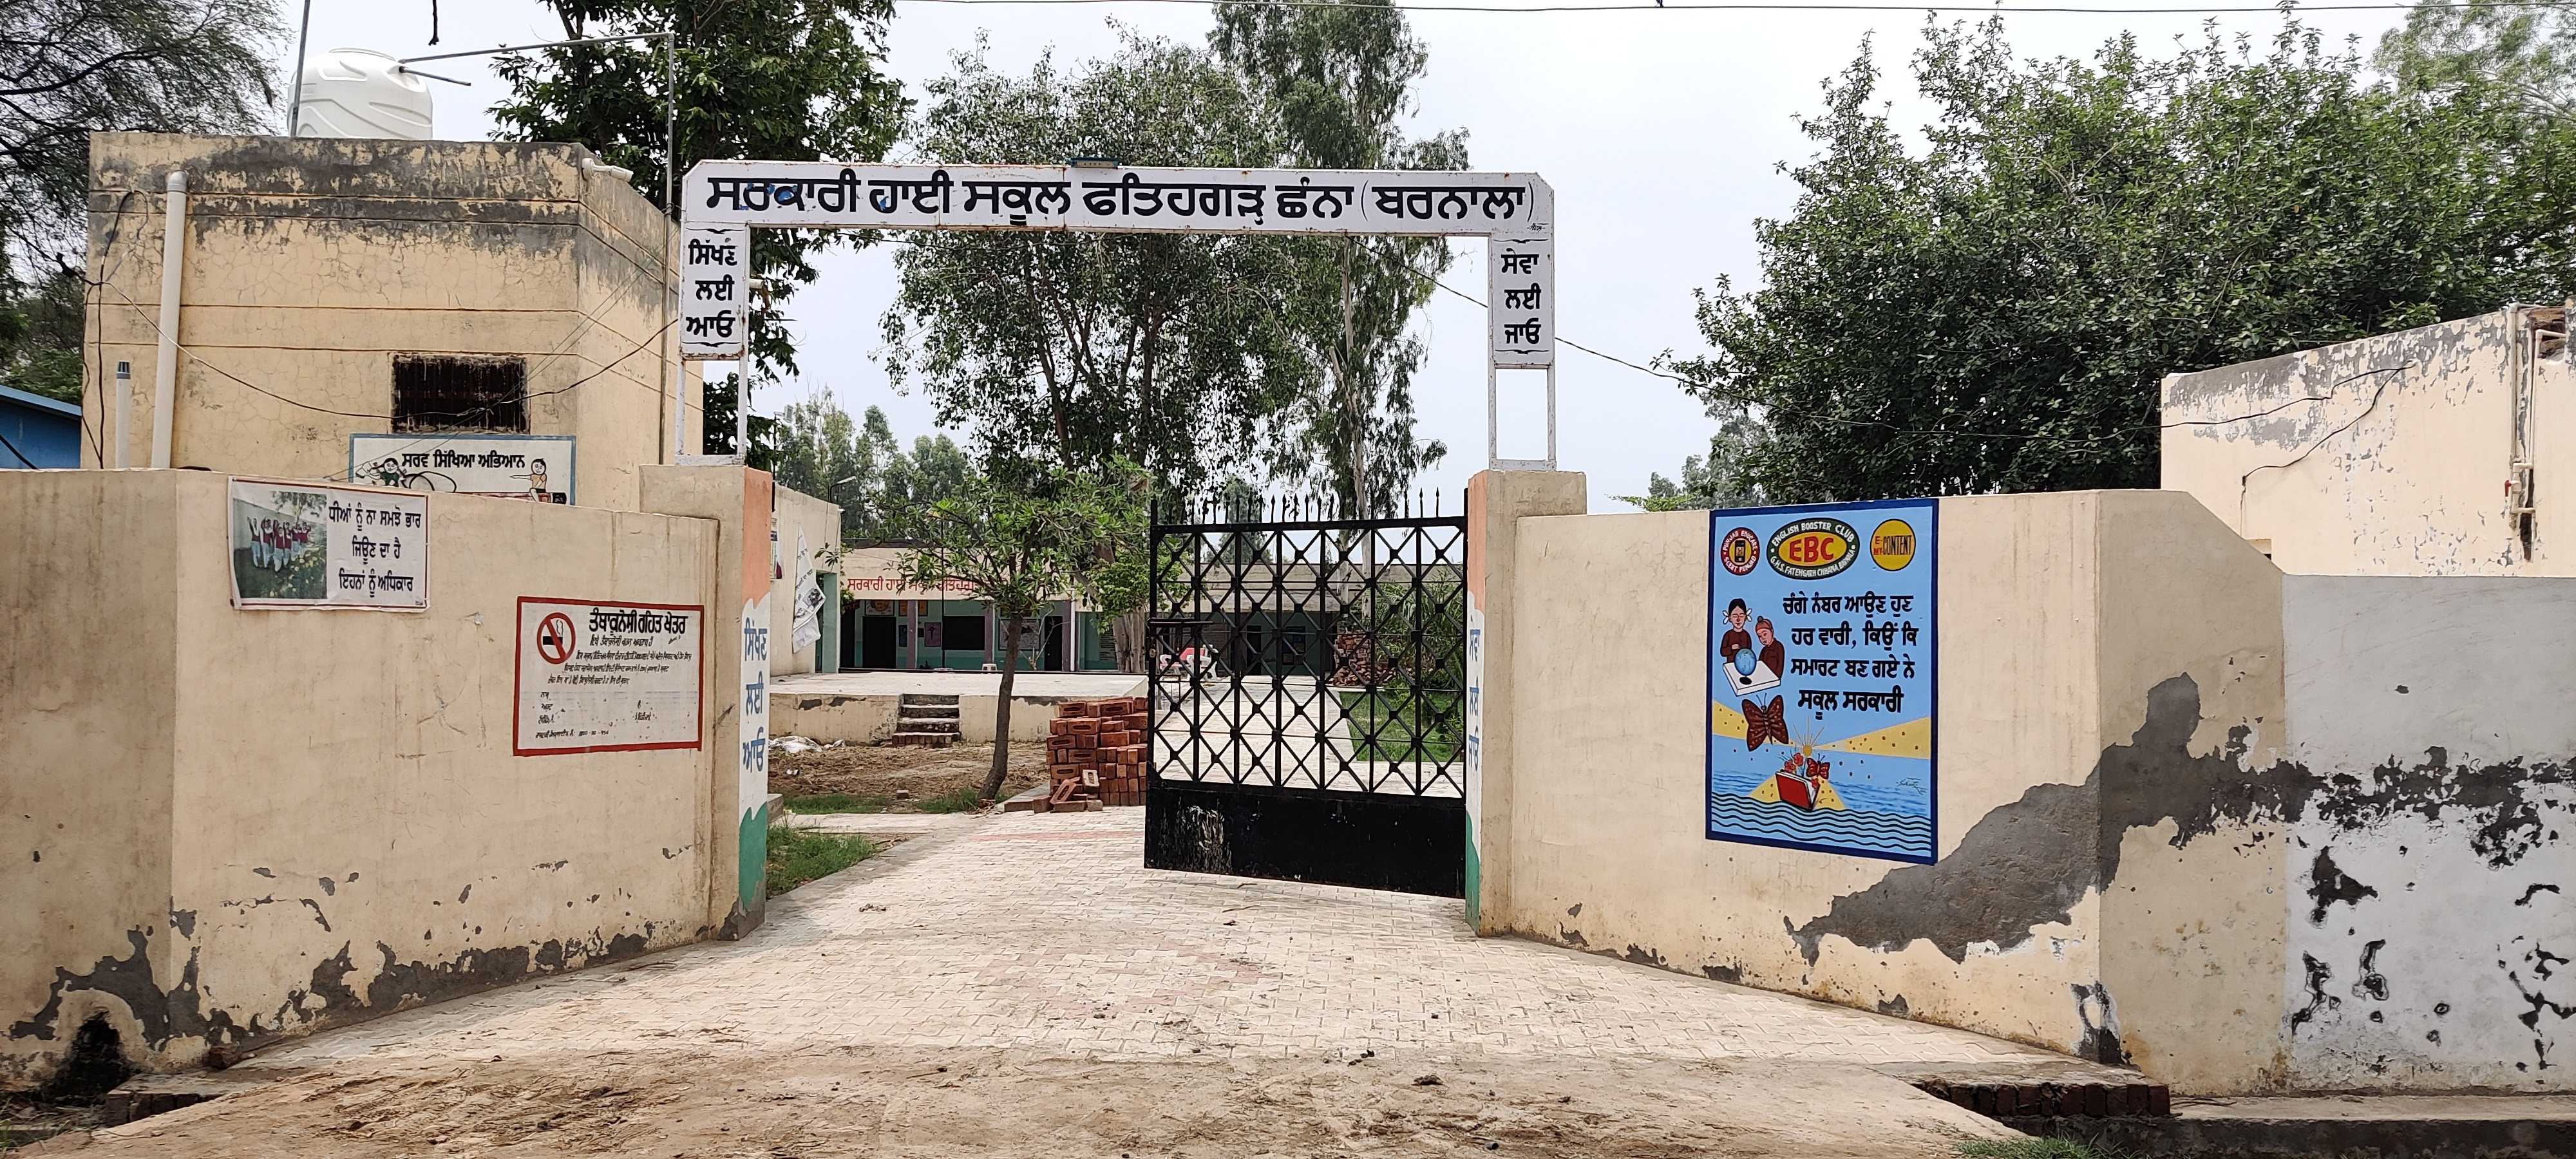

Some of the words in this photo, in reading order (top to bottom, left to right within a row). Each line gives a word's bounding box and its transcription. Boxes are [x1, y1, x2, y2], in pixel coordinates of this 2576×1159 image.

[701, 164, 866, 223] ਸਰਕਾਰੀ
[860, 167, 961, 218] ਹਾਈ
[959, 173, 1081, 228] ਸਕੂਲ
[1075, 167, 1271, 228] ਫਤਿਹਗੜ੍ਹ
[1269, 171, 1361, 225] ਛੰਨਾ
[1365, 182, 1528, 226] ਬਰਨਾਲਾ
[681, 232, 743, 271] ਸਿੱਖਣ
[1493, 239, 1544, 281] ਸੇਵਾ
[690, 271, 743, 308] ਲਈ
[1497, 279, 1546, 314] ਲਈ
[676, 305, 743, 343] ਆਓ
[1497, 314, 1546, 353] ਜਾਓ
[398, 448, 432, 472] ਸਰਵ
[430, 444, 478, 472] ਸਿੱਖਿਆ
[475, 447, 529, 471] ਅਭਿਆਨ
[327, 496, 354, 529] ਧੀਆ
[352, 500, 365, 532] ਨੂੰ
[364, 505, 378, 527] ਨਾ
[377, 502, 404, 531] ਸਮਝੋ
[401, 509, 424, 530] ਭਾਰ
[350, 533, 378, 567] ਜਿਊਣ
[378, 535, 392, 560] ਦਾ
[390, 534, 404, 561] ਹੈ
[1780, 532, 1842, 568] EBC
[1882, 533, 1913, 557] CONTENT
[336, 563, 366, 596] ਇਹਨਾਂ
[364, 566, 379, 601] ਨੂੰ
[377, 567, 419, 596] ਅਧਿਕਾਰ
[844, 570, 885, 596] ਸਰਕਾਰੀ
[585, 605, 639, 636] ਤੰਬਾਕਨੋਸ਼ੀ
[637, 608, 664, 635] ਰਹਿਤ
[662, 610, 692, 636] ਖੇਤਰ
[739, 612, 772, 667] ਸਿਂਖਣ
[1778, 589, 1811, 619] ਚੰਗੇ
[1785, 624, 1818, 649] ਹਰ
[1808, 587, 1844, 617] ਨੰਬਰ
[1816, 616, 1856, 650] ਵਾਰੀ
[1842, 587, 1889, 618] ਆਉਣ
[1855, 618, 1900, 654] ਕਿਉਂ
[1888, 590, 1918, 619] ਹੁਣ
[1900, 617, 1922, 649] ਕਿ
[1788, 657, 1844, 681] ਸਮਾਰਟ
[1841, 656, 1872, 683] ਬਣ
[1868, 650, 1902, 681] ਗਏ
[1900, 650, 1920, 682] ਨੇ
[740, 665, 768, 720] ਲਈ
[1795, 686, 1842, 725] ਸਕੂਲ
[1841, 683, 1909, 715] ਸਰਕਾਰੀ
[738, 722, 769, 784] ਆਓ